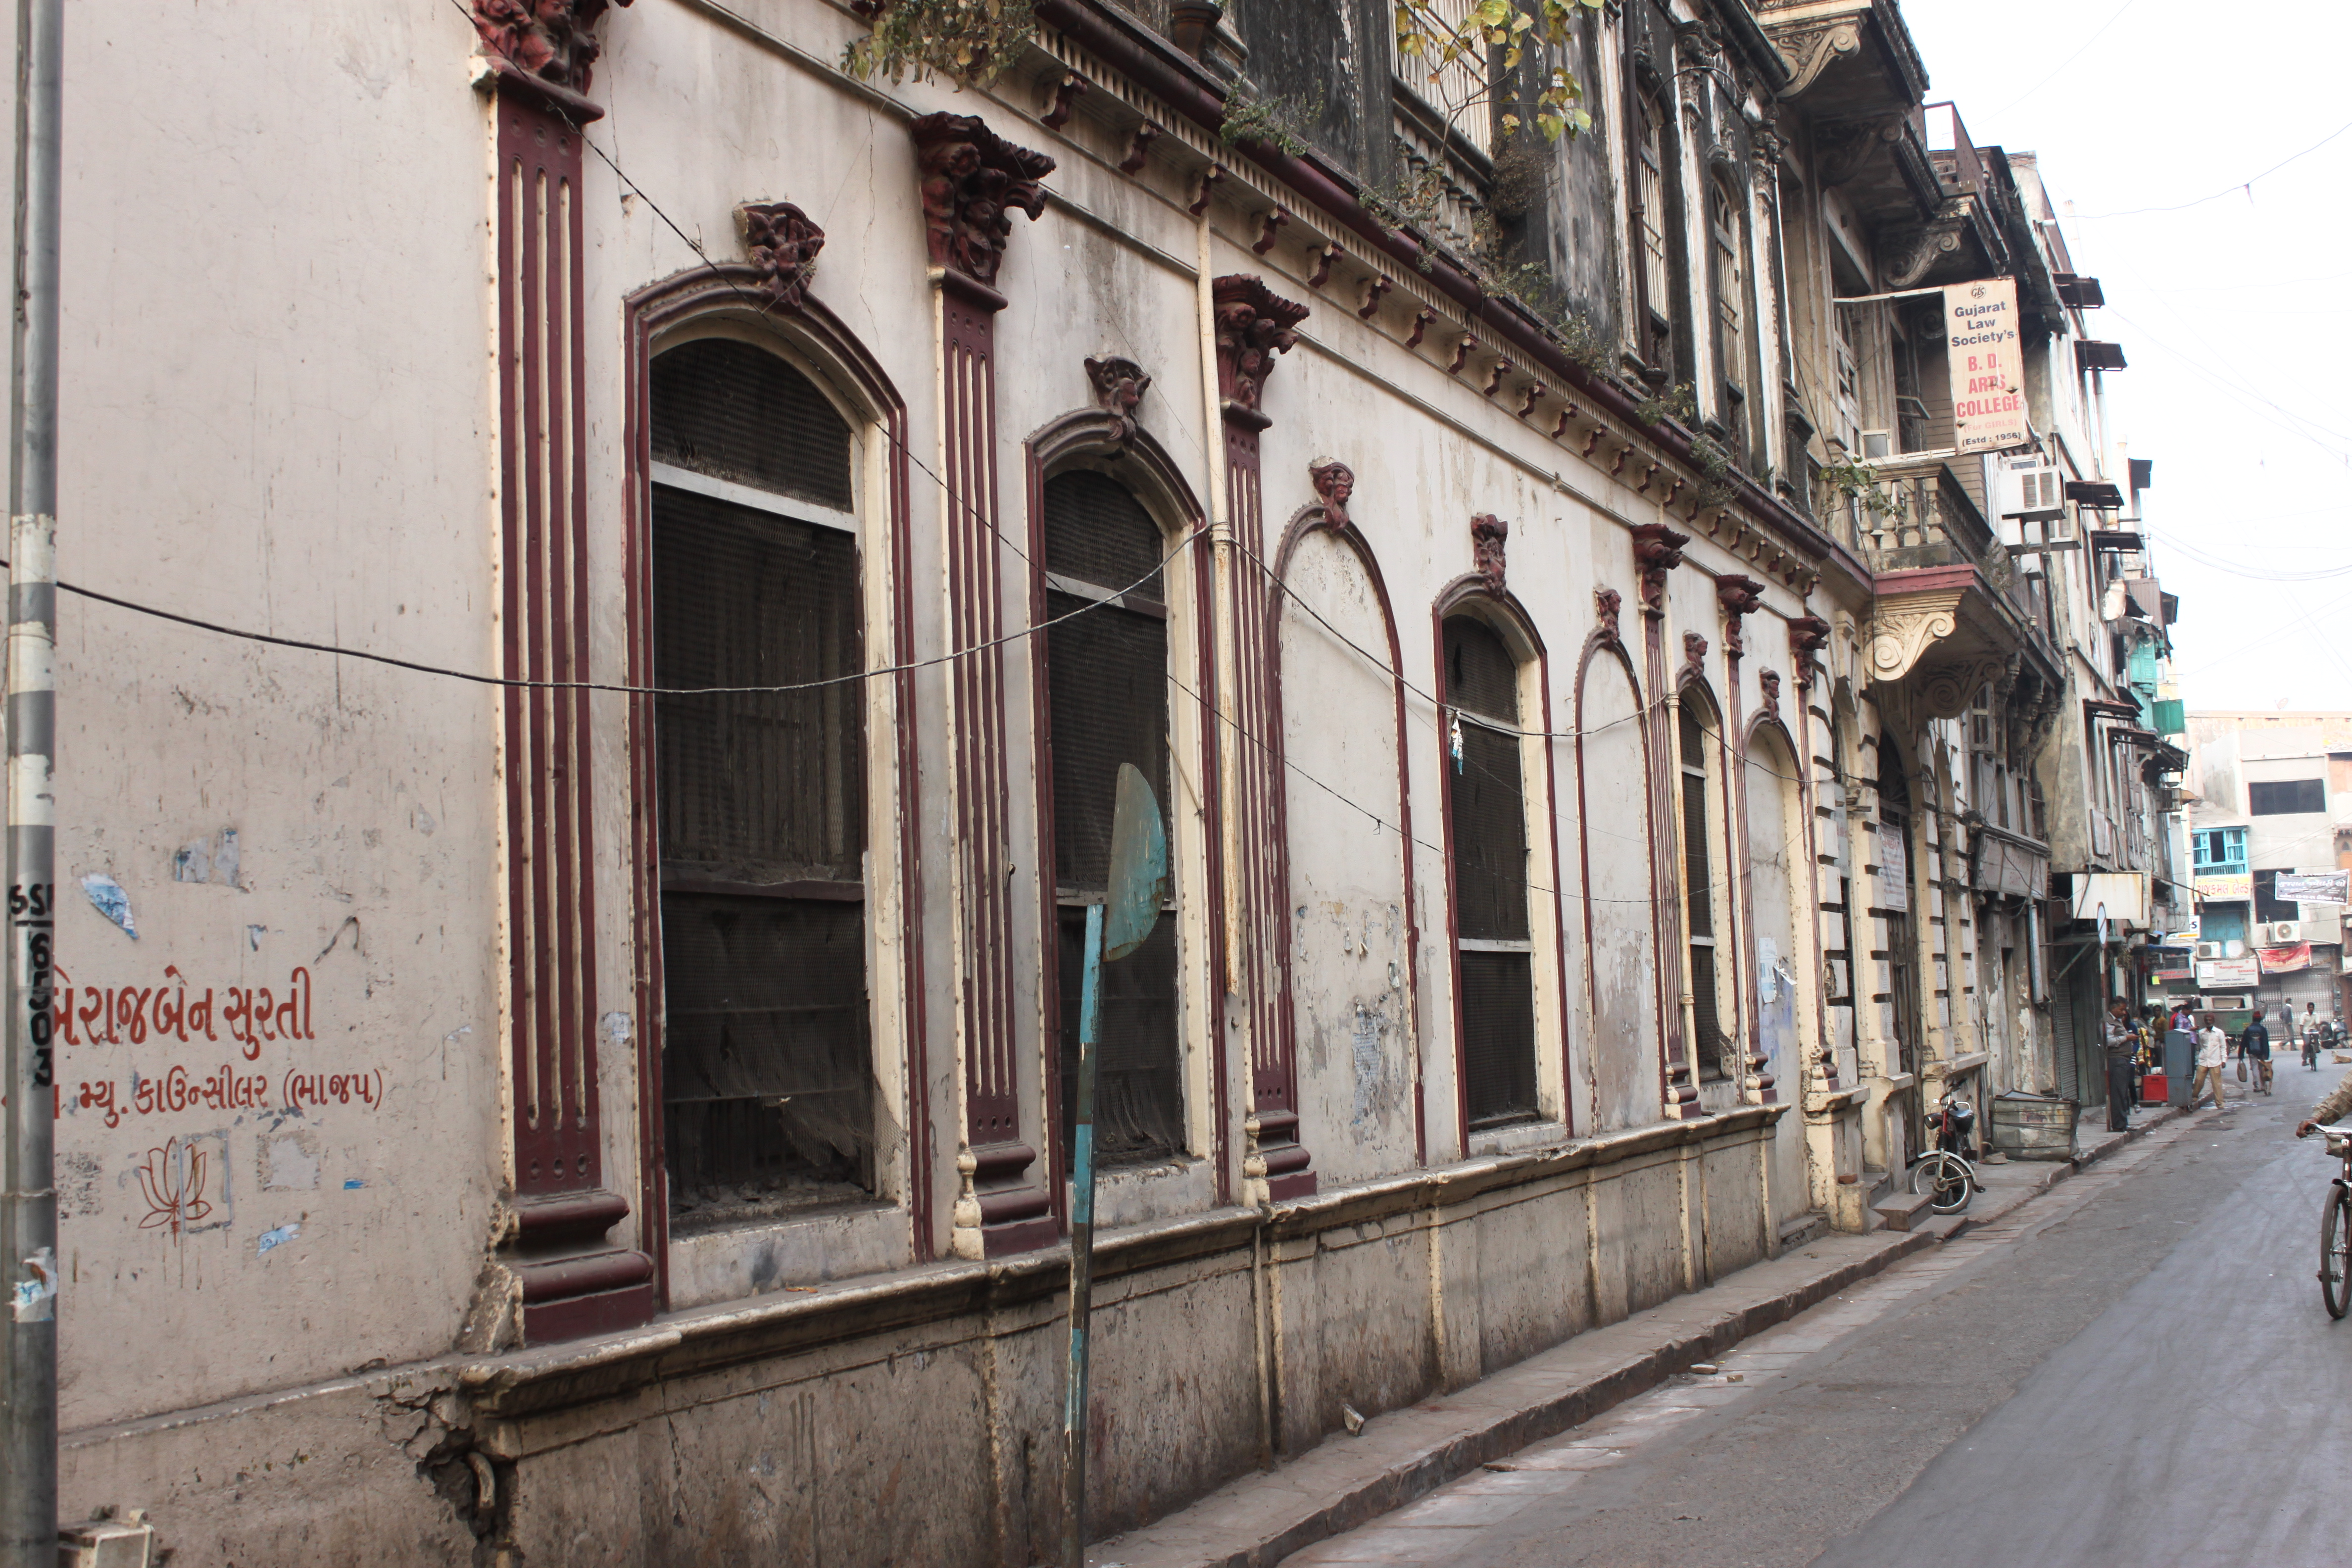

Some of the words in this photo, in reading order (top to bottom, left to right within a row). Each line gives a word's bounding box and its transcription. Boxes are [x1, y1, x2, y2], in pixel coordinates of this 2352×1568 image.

[46, 967, 216, 1059] બેરાજબેન
[216, 961, 321, 1063] સુ૨તી
[61, 1072, 128, 1138] મ્યુ.
[126, 1059, 271, 1123] કાઉન્સીલર
[286, 1063, 384, 1114] ભાજપ